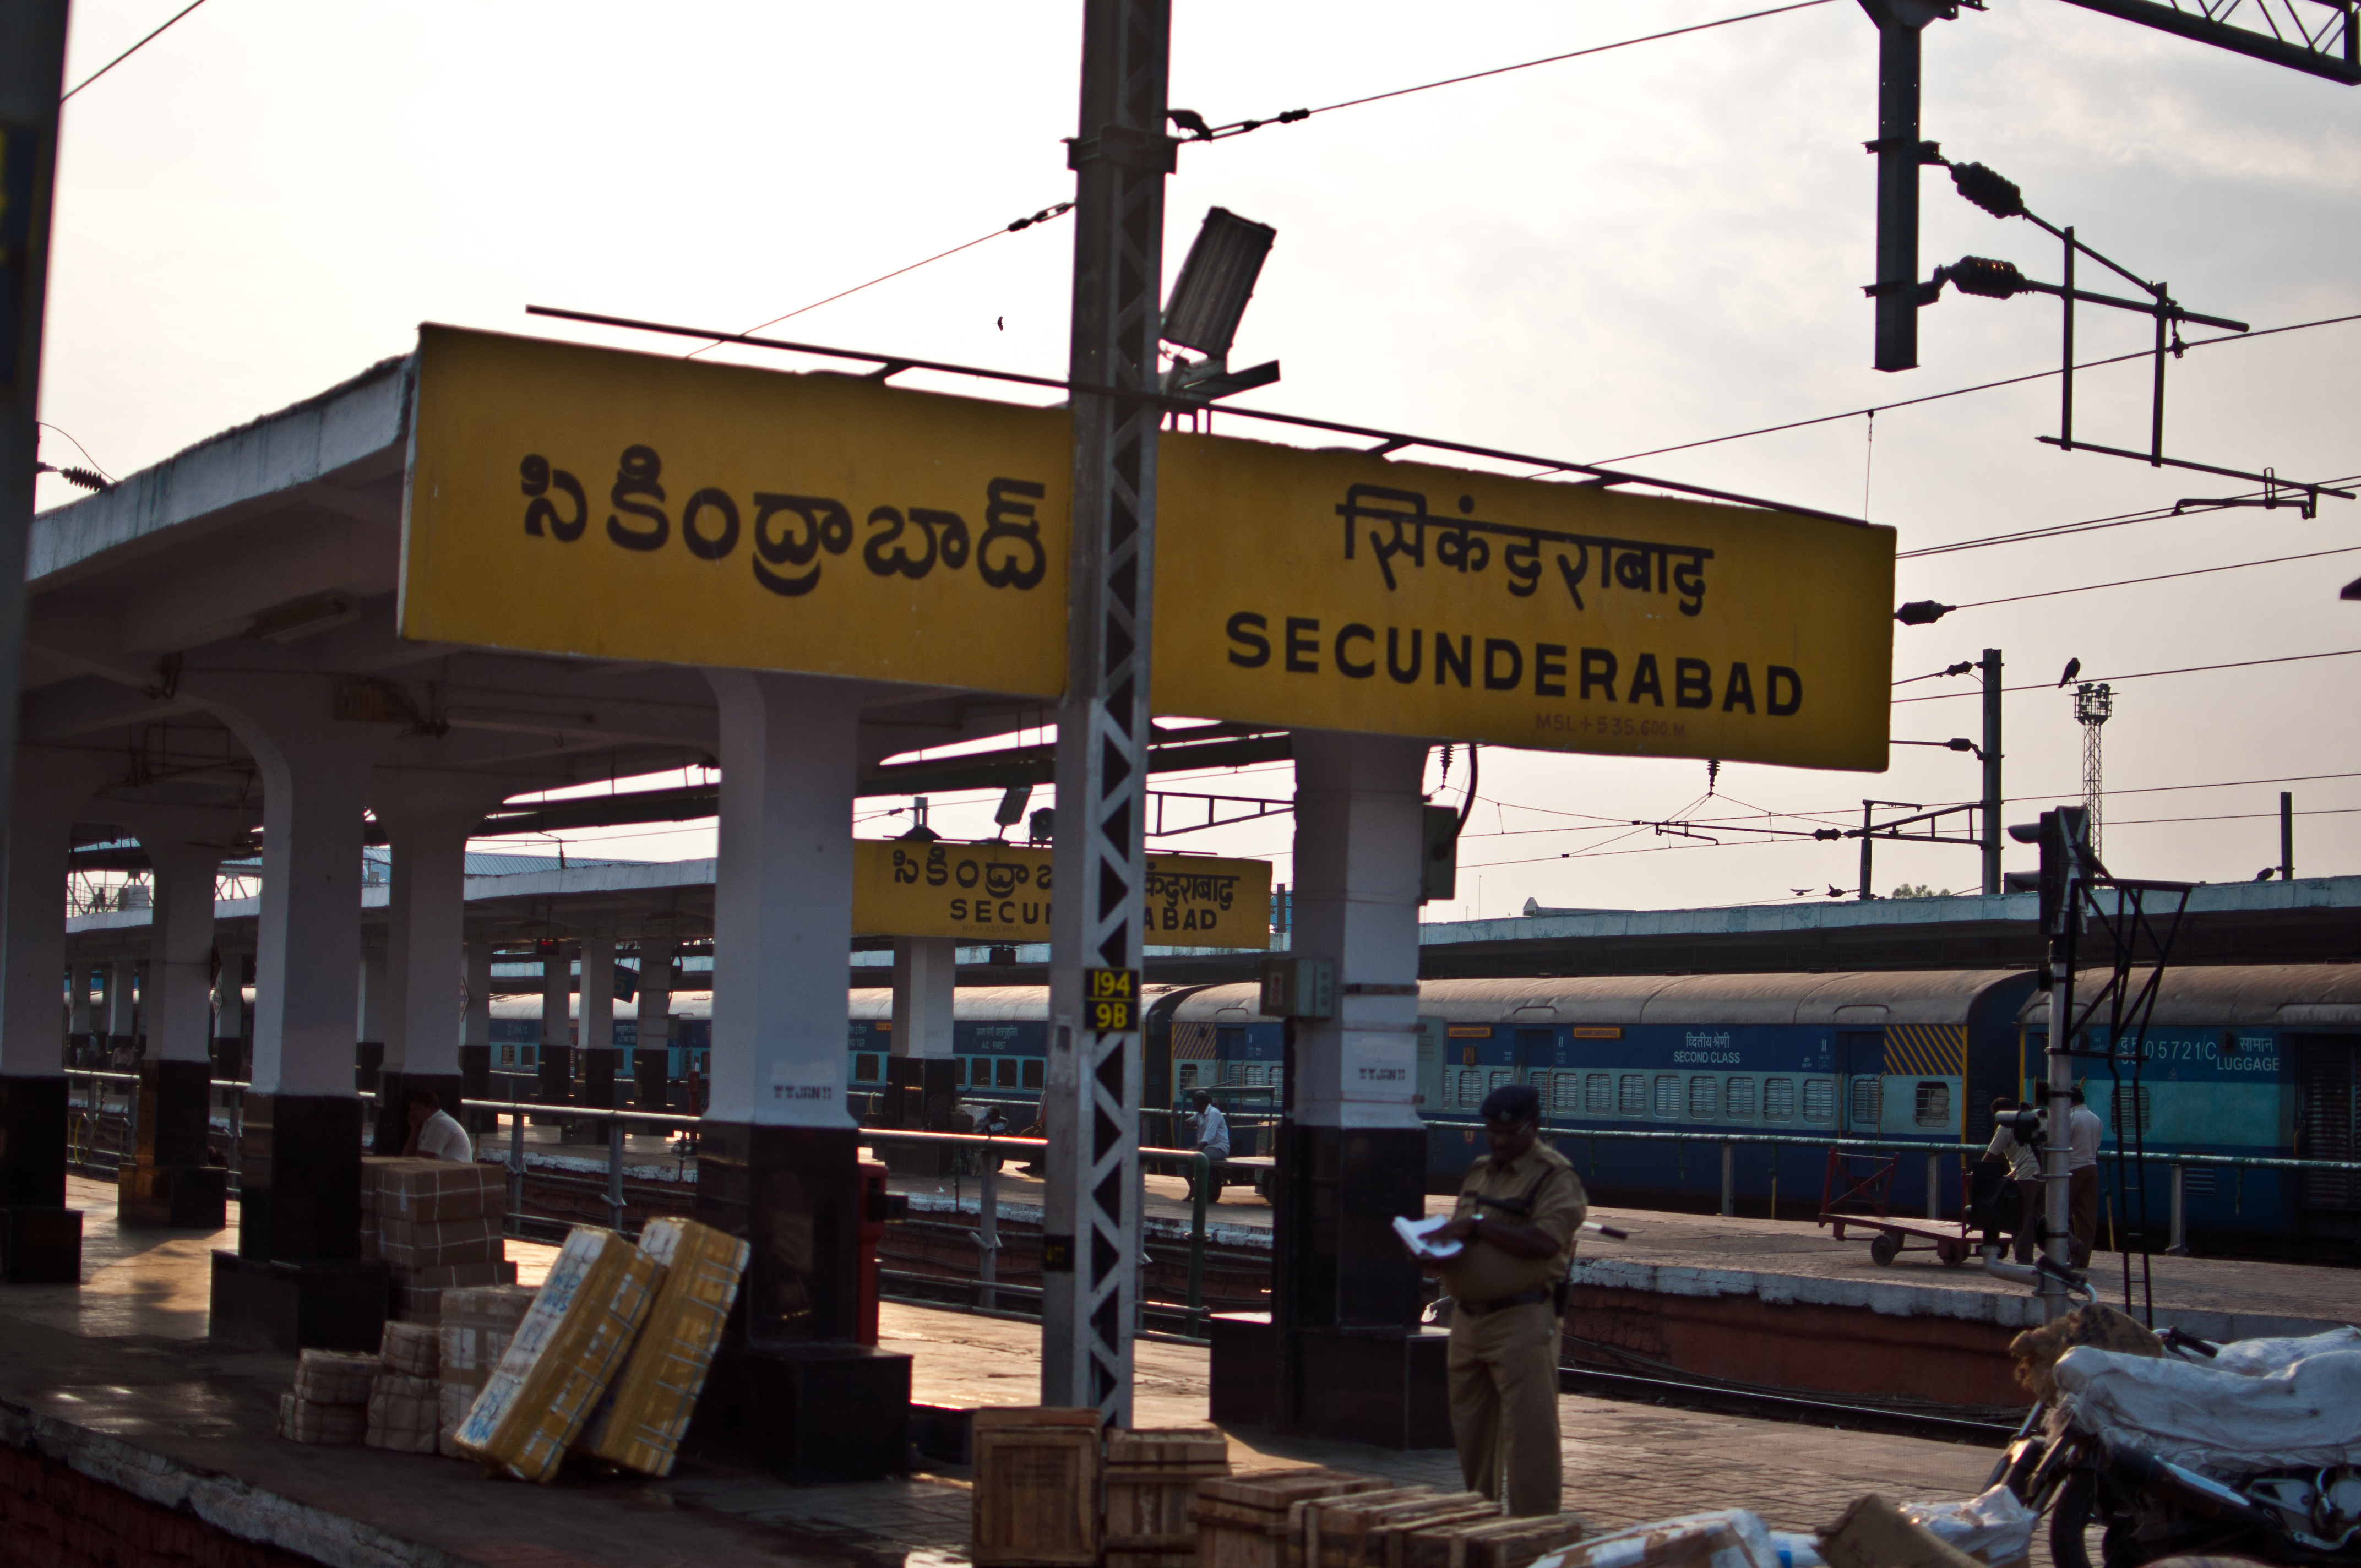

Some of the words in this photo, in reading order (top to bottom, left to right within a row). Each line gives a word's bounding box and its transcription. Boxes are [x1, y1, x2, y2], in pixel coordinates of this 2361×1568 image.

[510, 439, 1051, 600] సికింద్రాబాద్
[1325, 470, 1722, 620] सिकंदराबाद
[1214, 607, 1813, 718] SECUNDERABAD
[886, 841, 1033, 902] సికింద్రా
[1682, 1029, 1715, 1050] व्दितीय
[1709, 1029, 1733, 1051] श्रेणी
[2239, 1035, 2275, 1054] सामान
[1673, 1047, 1711, 1068] SECOND
[1707, 1049, 1742, 1066] CLASS
[2215, 1052, 2283, 1074] LUGGAGE